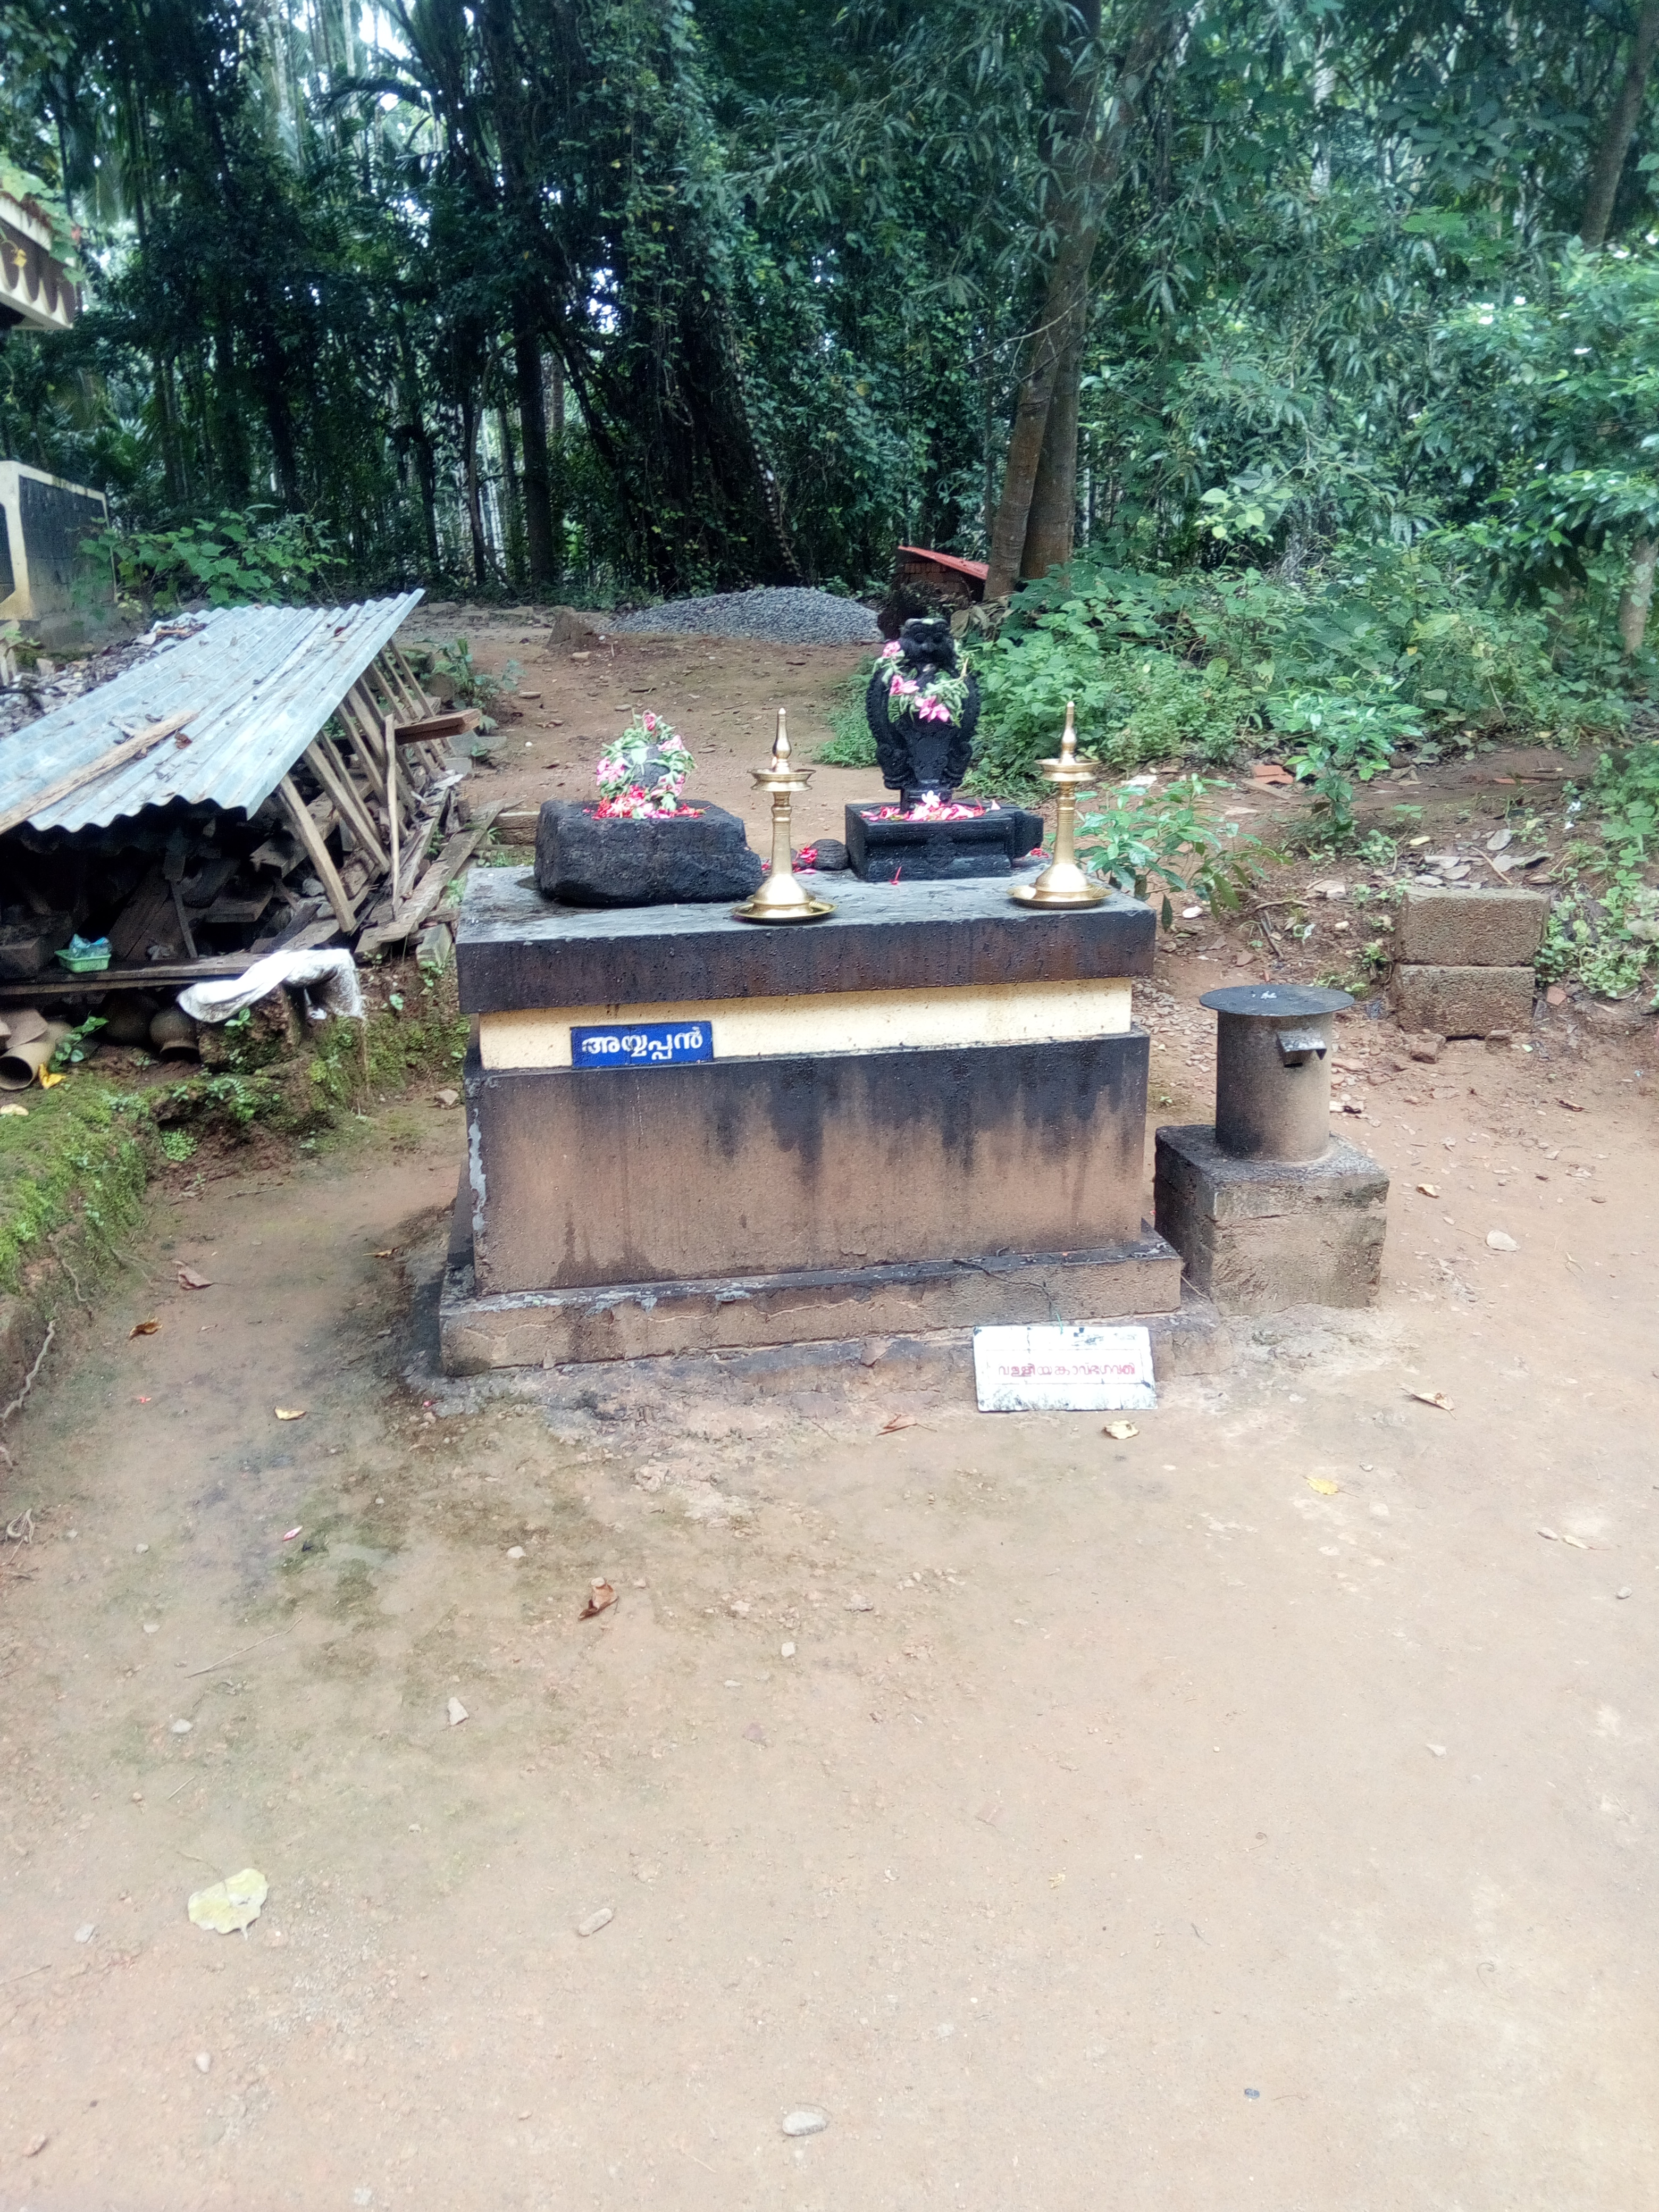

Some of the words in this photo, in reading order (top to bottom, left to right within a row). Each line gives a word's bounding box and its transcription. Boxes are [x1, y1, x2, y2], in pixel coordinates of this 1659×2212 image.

[569, 1022, 705, 1063] അയ്യപ്പൻ
[990, 1357, 1076, 1384] വള്ളീയങ്ക
[1067, 1358, 1140, 1381] രവ്ഭഗവതി